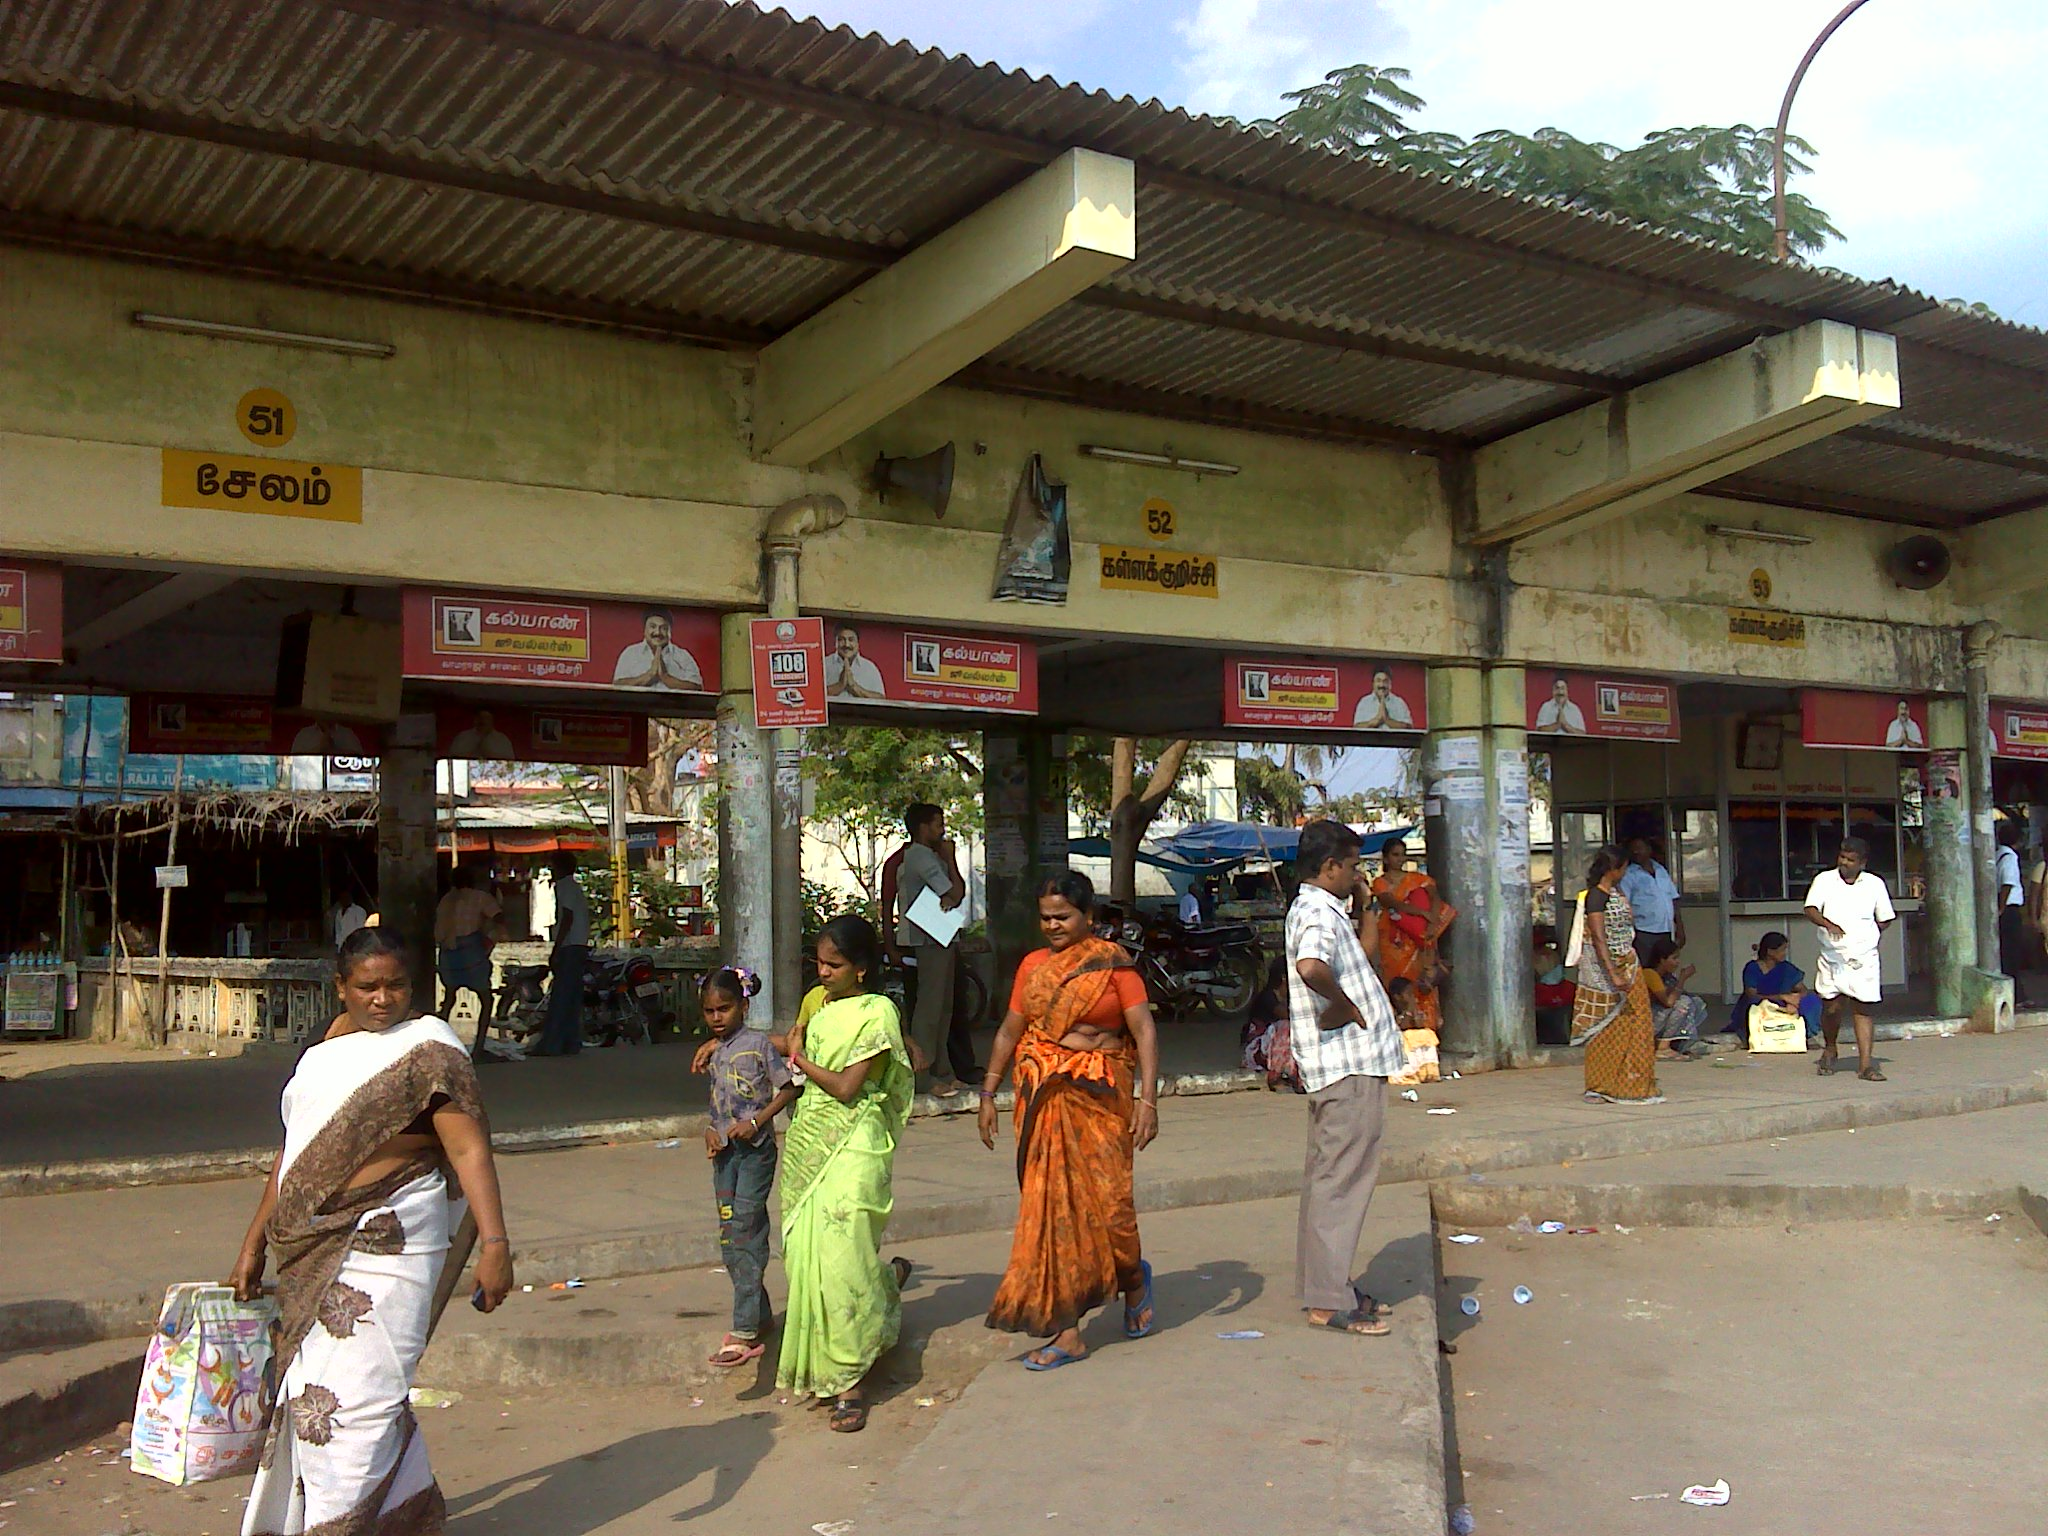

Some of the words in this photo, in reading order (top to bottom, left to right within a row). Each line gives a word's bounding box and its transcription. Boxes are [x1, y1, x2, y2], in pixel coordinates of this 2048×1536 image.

[192, 458, 337, 507] சேலம்
[1095, 544, 1219, 593] கள்ளக்குறச்சி
[478, 606, 587, 634] கல்யாண்
[1719, 605, 1809, 644] கள்ளக்குறிச்சி
[520, 655, 587, 681] புதுச்சேரி
[938, 641, 1016, 668] கல்யாண்
[1267, 663, 1338, 690] கல்யாண்